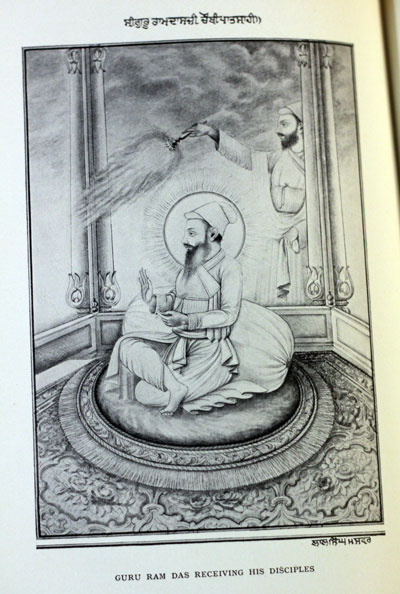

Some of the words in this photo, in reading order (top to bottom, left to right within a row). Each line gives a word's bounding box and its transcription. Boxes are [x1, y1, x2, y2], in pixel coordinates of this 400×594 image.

[120, 10, 151, 33] मीडाडु
[150, 8, 200, 29] ਰਾਮਦਾਸਜ਼ੀ
[195, 6, 265, 27] ਚੌਥੀਪਾਤਸਾਹੀ
[109, 571, 145, 583] GURU
[142, 569, 168, 584] RAM
[167, 568, 191, 582] DAS
[190, 565, 247, 582] RECEIVING
[247, 566, 267, 580] HIS
[267, 560, 318, 577] DISCIPLES